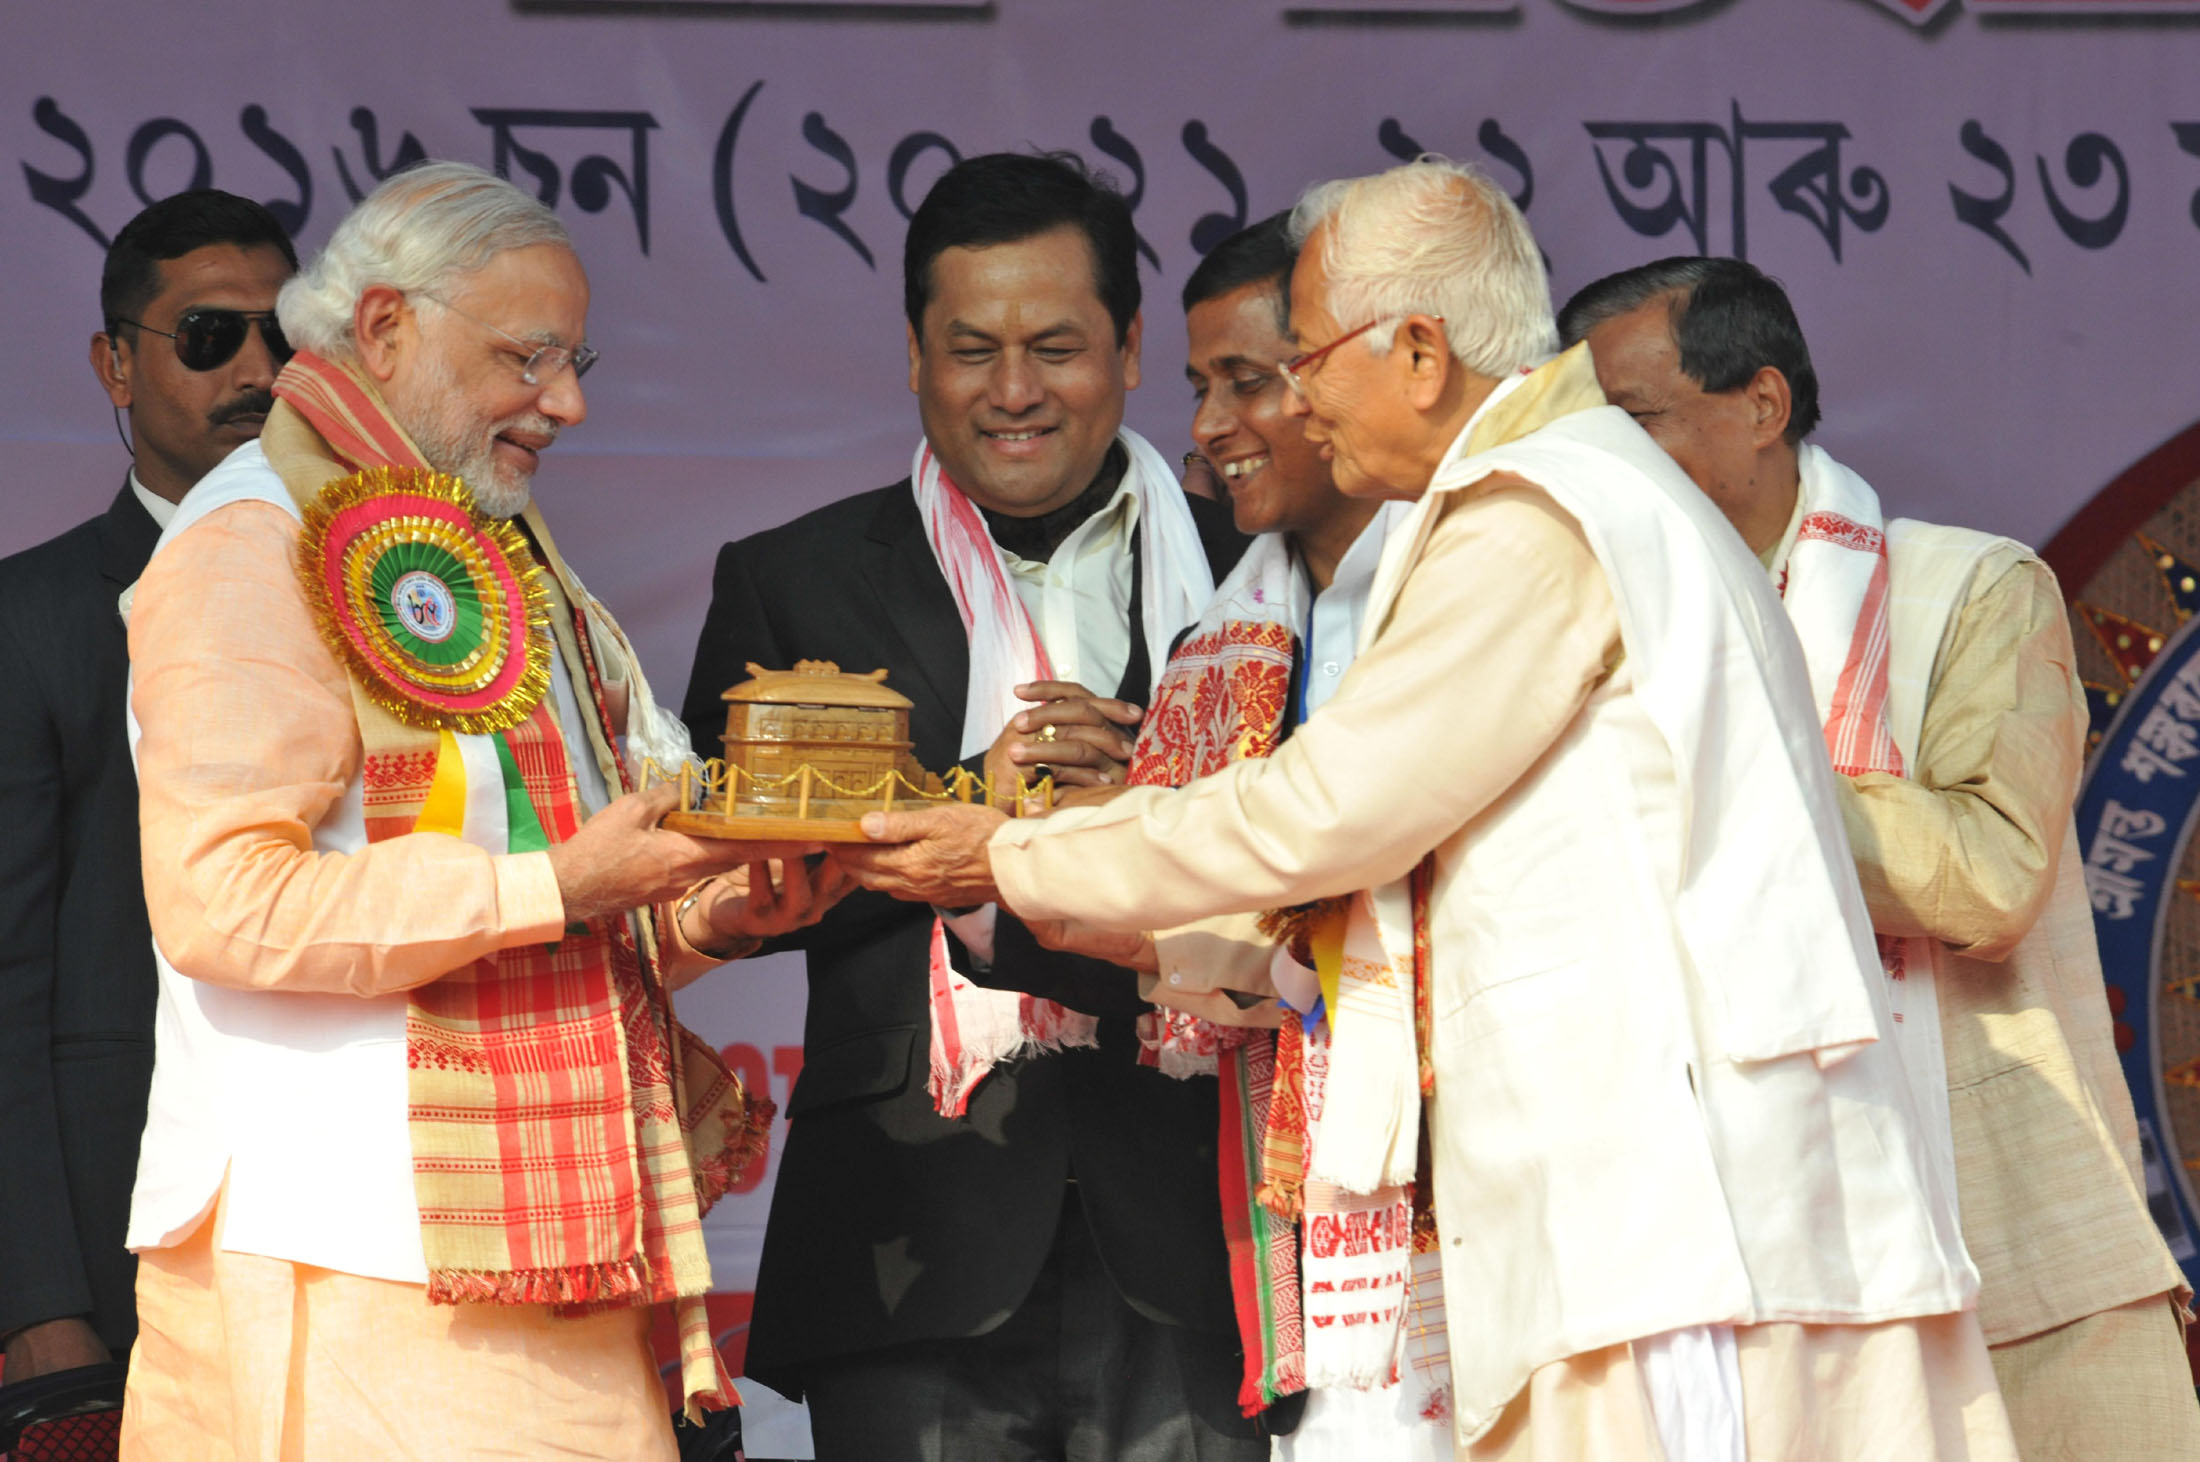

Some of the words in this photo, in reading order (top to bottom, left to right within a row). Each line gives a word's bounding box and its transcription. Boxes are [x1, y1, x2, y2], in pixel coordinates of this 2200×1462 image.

[1591, 103, 1890, 270] আৰু
[1921, 95, 2147, 282] ২৩
[2080, 799, 2174, 932] আমন্ত